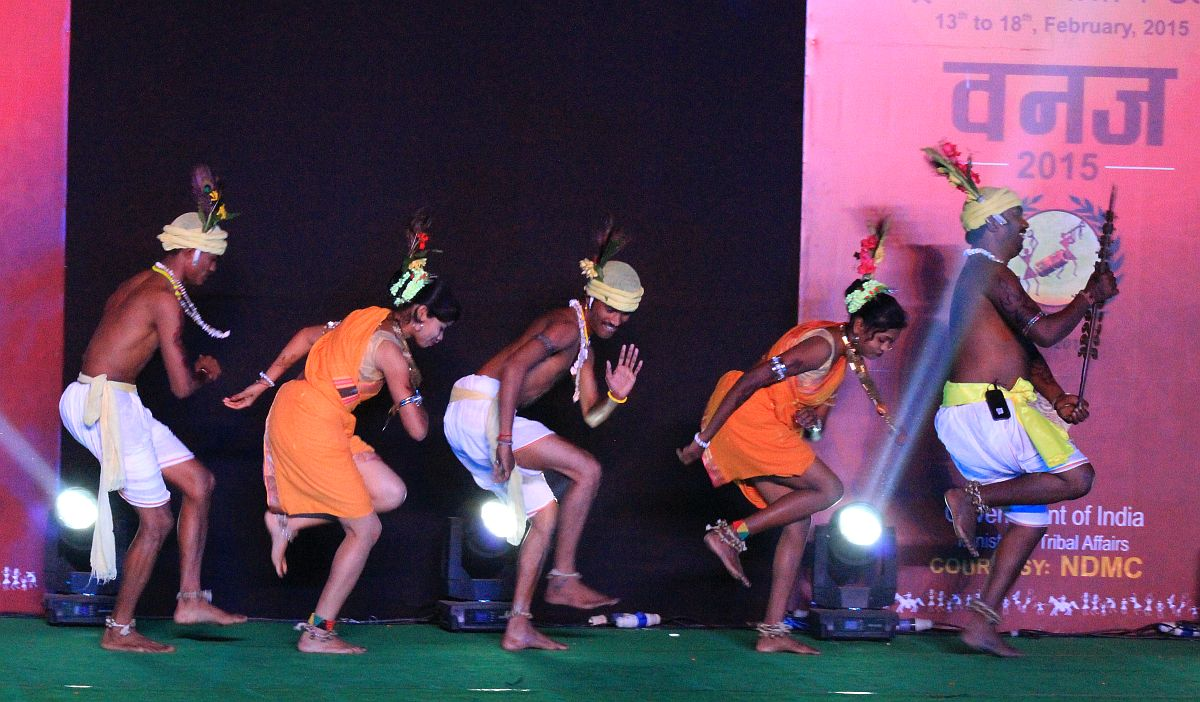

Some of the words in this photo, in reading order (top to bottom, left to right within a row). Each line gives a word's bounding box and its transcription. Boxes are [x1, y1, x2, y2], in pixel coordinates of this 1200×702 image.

[929, 0, 971, 34] 13th
[969, 13, 998, 35] to
[998, 5, 1040, 36] 18th
[1039, 8, 1136, 41] February
[1137, 10, 1197, 39] 2015
[941, 55, 1183, 149] वनज
[1015, 145, 1107, 186] 2015
[1063, 501, 1094, 533] of
[1094, 500, 1149, 533] India
[1037, 531, 1085, 554] Tribal
[1078, 530, 1135, 559] Affairs
[1057, 551, 1147, 585] NDMC